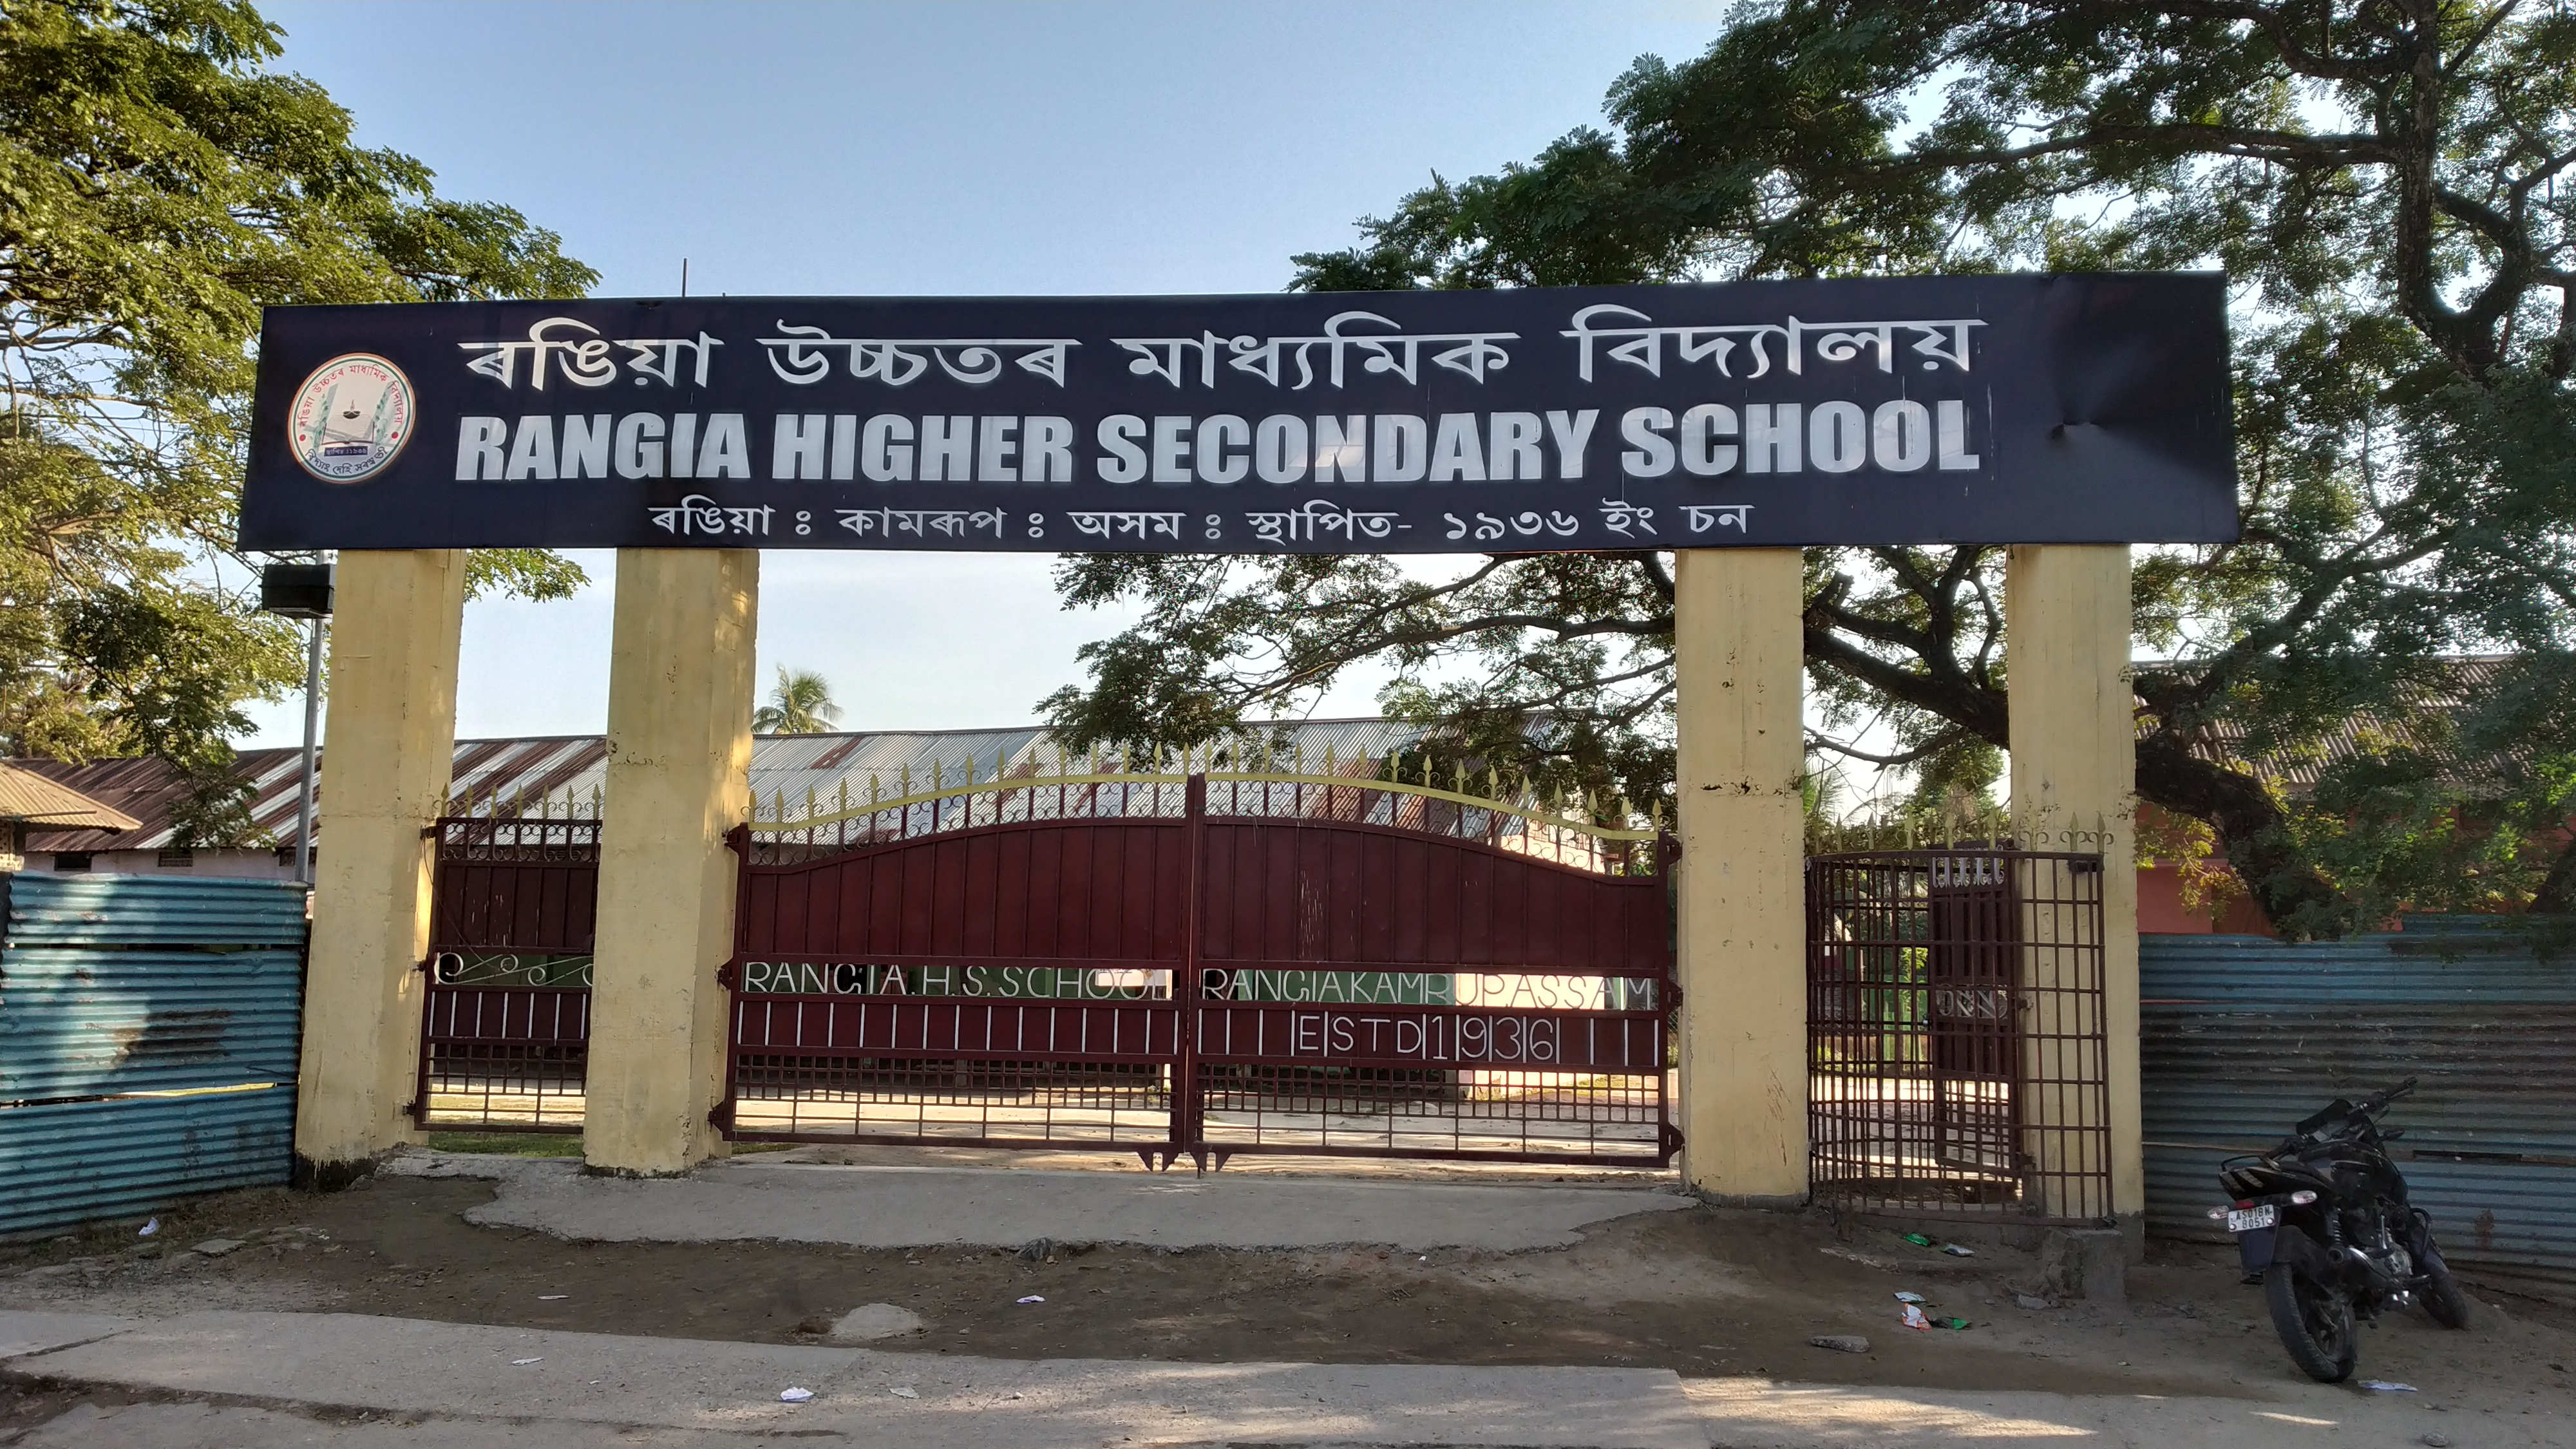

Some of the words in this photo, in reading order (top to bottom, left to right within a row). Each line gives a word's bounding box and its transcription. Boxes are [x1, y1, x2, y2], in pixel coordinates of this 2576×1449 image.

[290, 392, 319, 432] ৰঙিয়া
[302, 444, 336, 473] বিদ্যাং
[310, 361, 348, 396] উচ্চতৰ
[330, 457, 356, 478] দেহি
[347, 360, 391, 383] মাধ্যমিক
[352, 440, 393, 475] সৰস্বতী
[386, 375, 406, 426] বিদ্যালয়
[453, 305, 728, 395] ৰঙিয়া
[451, 407, 755, 485] RANGIA
[752, 308, 1087, 390] উচ্চতৰ
[769, 411, 1085, 487] HIGHER
[1110, 302, 1522, 395] মাধ্যমিক
[1088, 402, 1601, 488] SECONDARY
[1548, 290, 1994, 388] বিদ্যালয়
[1615, 392, 1983, 480] SCHOOL
[649, 485, 775, 542] ৰঙিয়া
[835, 498, 1014, 544] কামৰূপ
[1063, 501, 1187, 545] অসম
[1242, 491, 1403, 549] স্থাপিত
[1430, 503, 1587, 549] ১৯৩৬
[1592, 479, 1663, 547] ইং
[1674, 497, 1754, 538] চন
[737, 956, 911, 998] RANGIA
[914, 952, 994, 1005] H.S.
[998, 961, 1180, 1009] SCHOOL
[1195, 964, 1350, 1008] RANGIA.
[1346, 963, 1515, 1010] KAMRUP
[1506, 970, 1664, 1014] ASSAM
[1292, 1015, 1431, 1059] ESTD
[1427, 1010, 1564, 1066] 1936